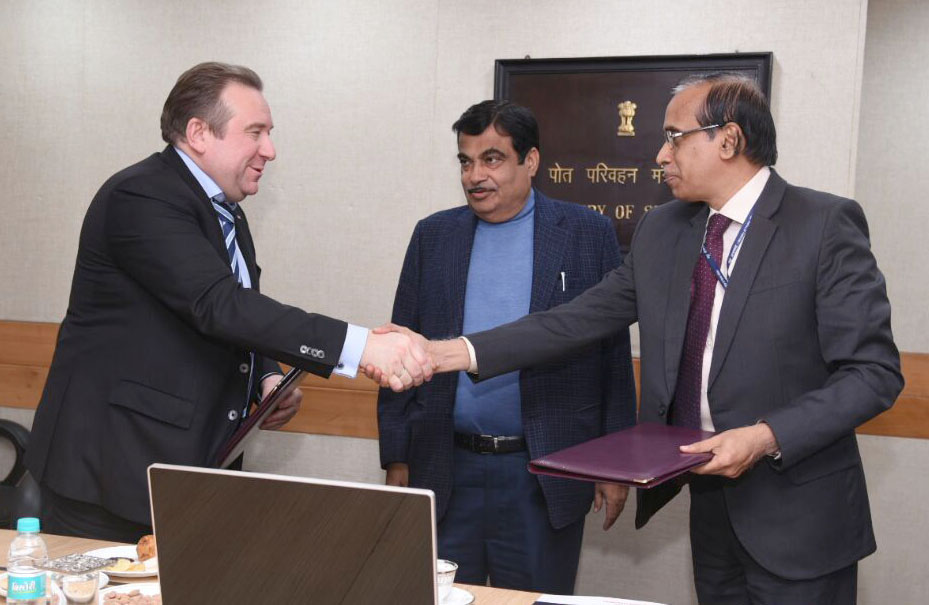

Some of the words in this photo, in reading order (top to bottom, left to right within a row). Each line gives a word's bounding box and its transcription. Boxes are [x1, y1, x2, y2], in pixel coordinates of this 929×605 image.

[545, 159, 576, 188] पोत
[582, 160, 639, 186] परिवहन
[612, 201, 637, 224] OF